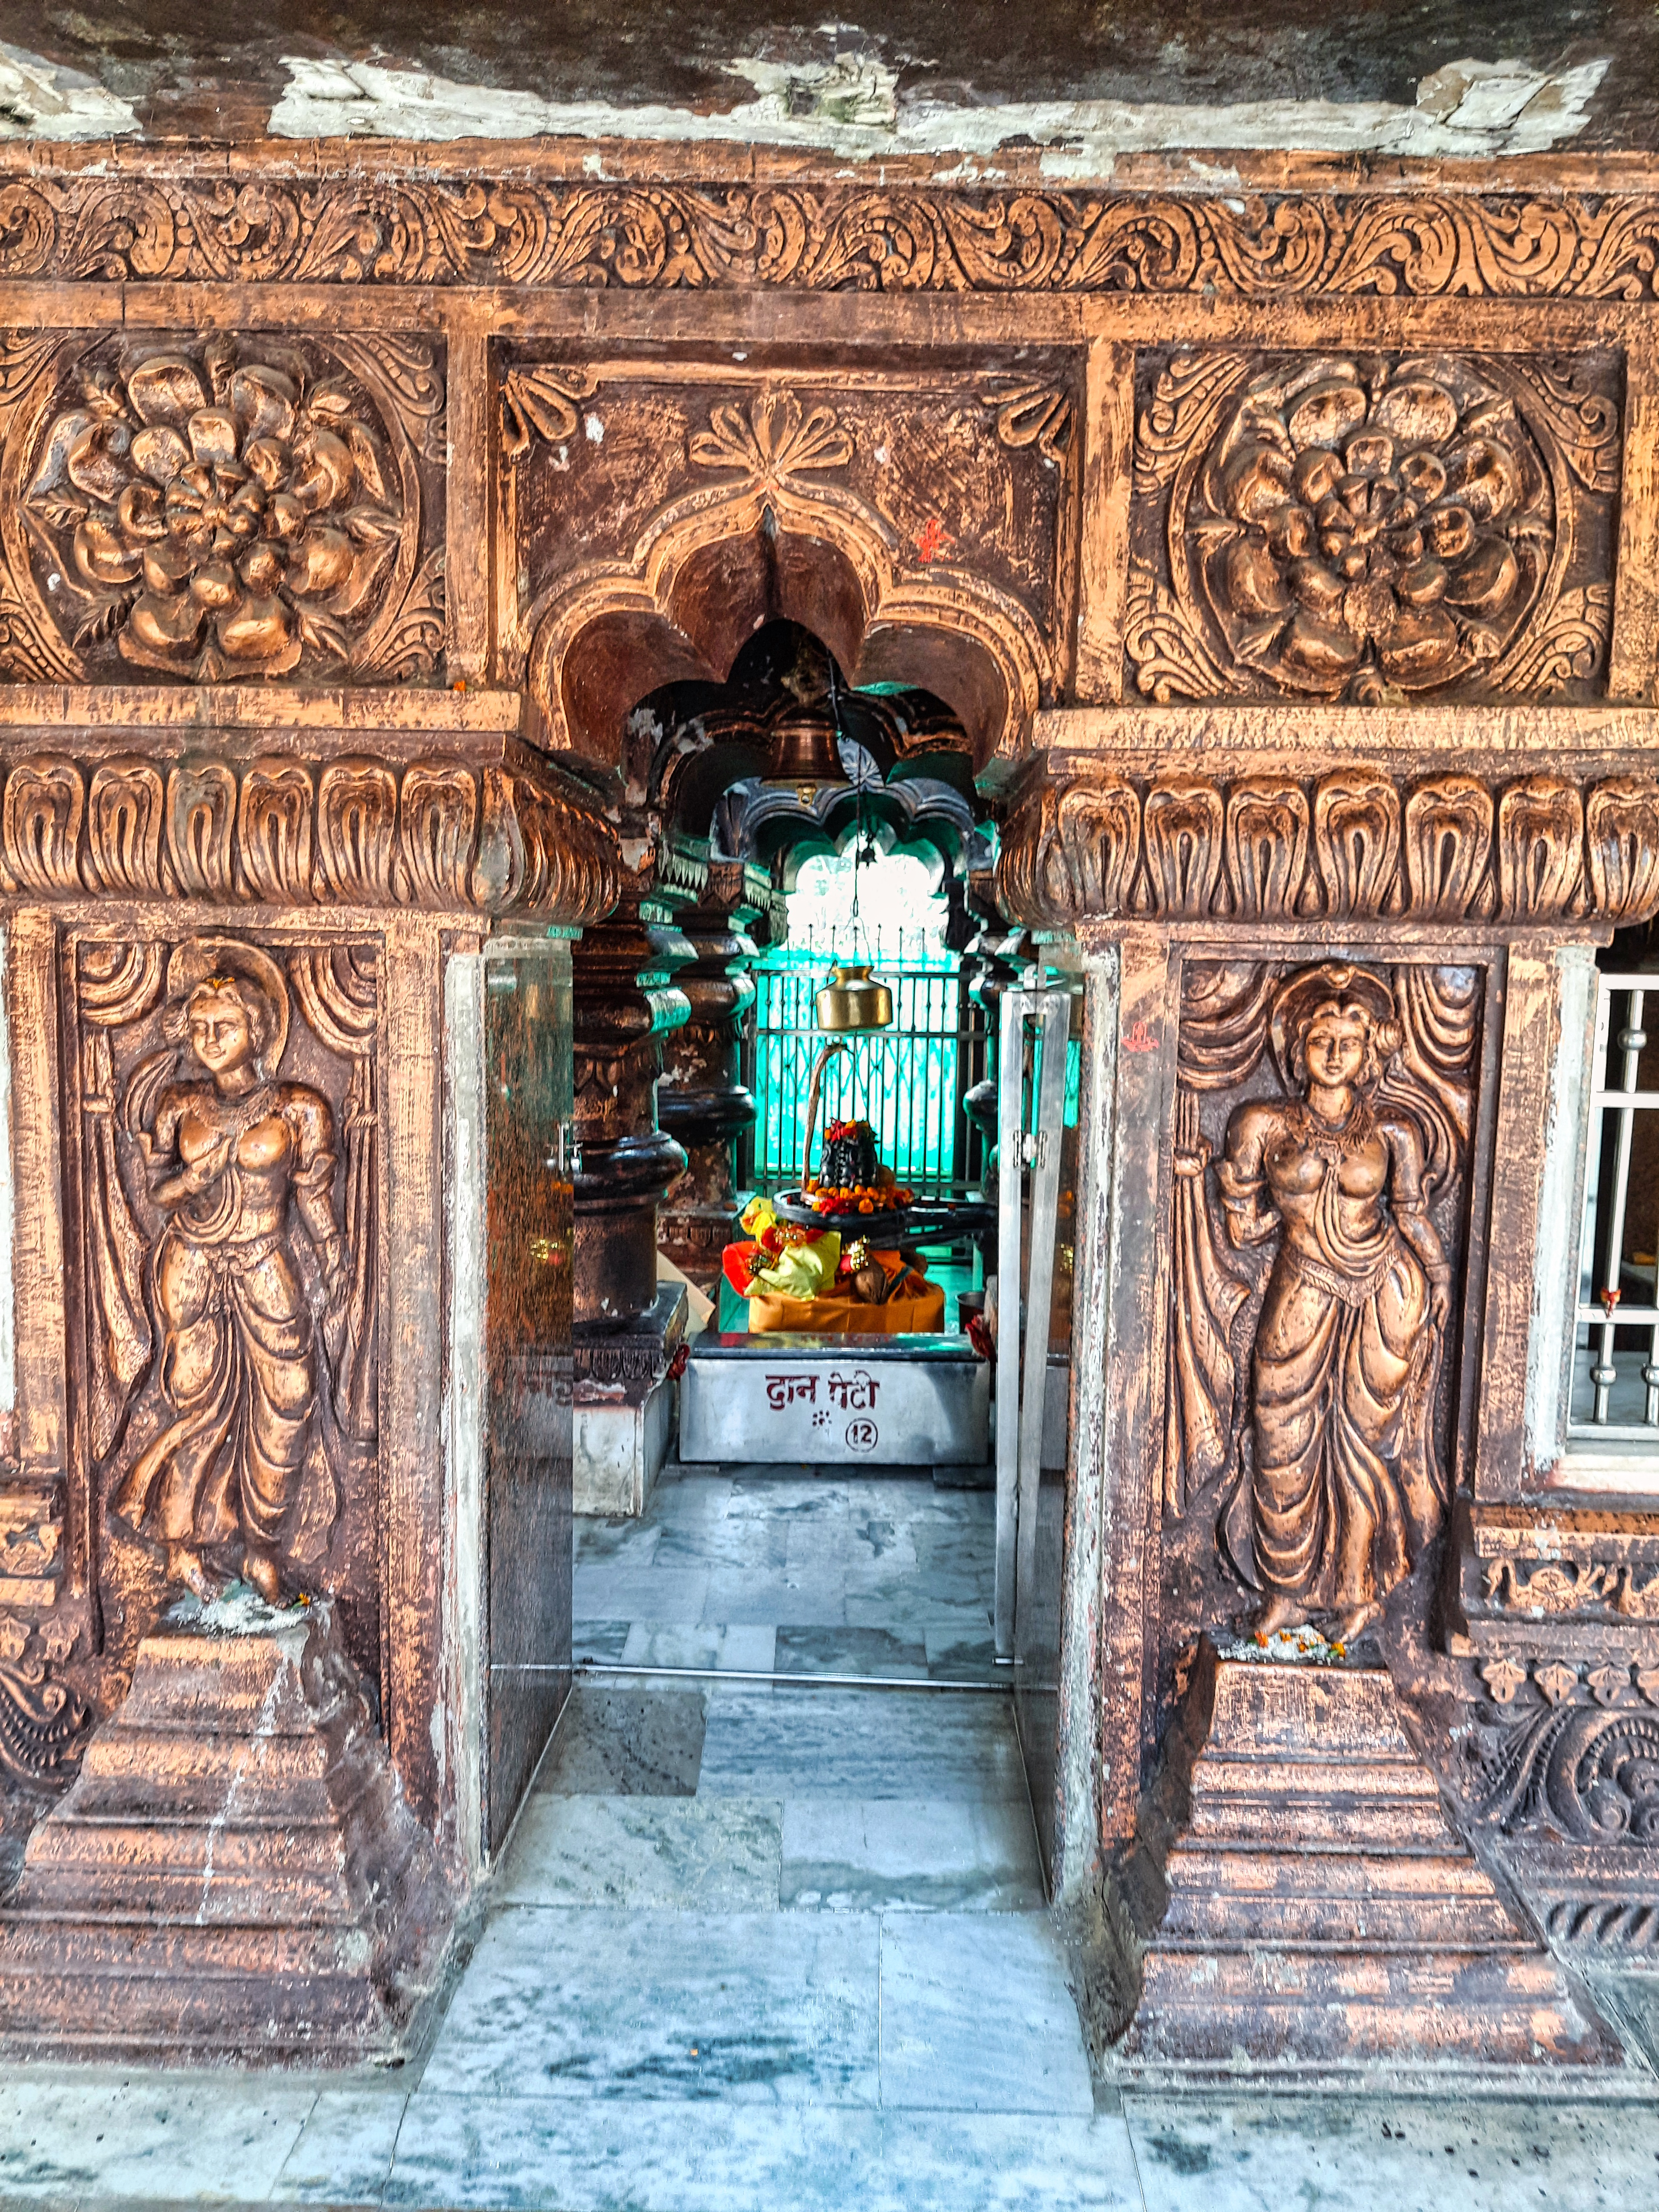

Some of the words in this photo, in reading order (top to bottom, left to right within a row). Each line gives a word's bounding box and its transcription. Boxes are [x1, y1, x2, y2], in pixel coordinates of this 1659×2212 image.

[757, 1365, 818, 1416] दान
[820, 1365, 884, 1416] पेटी